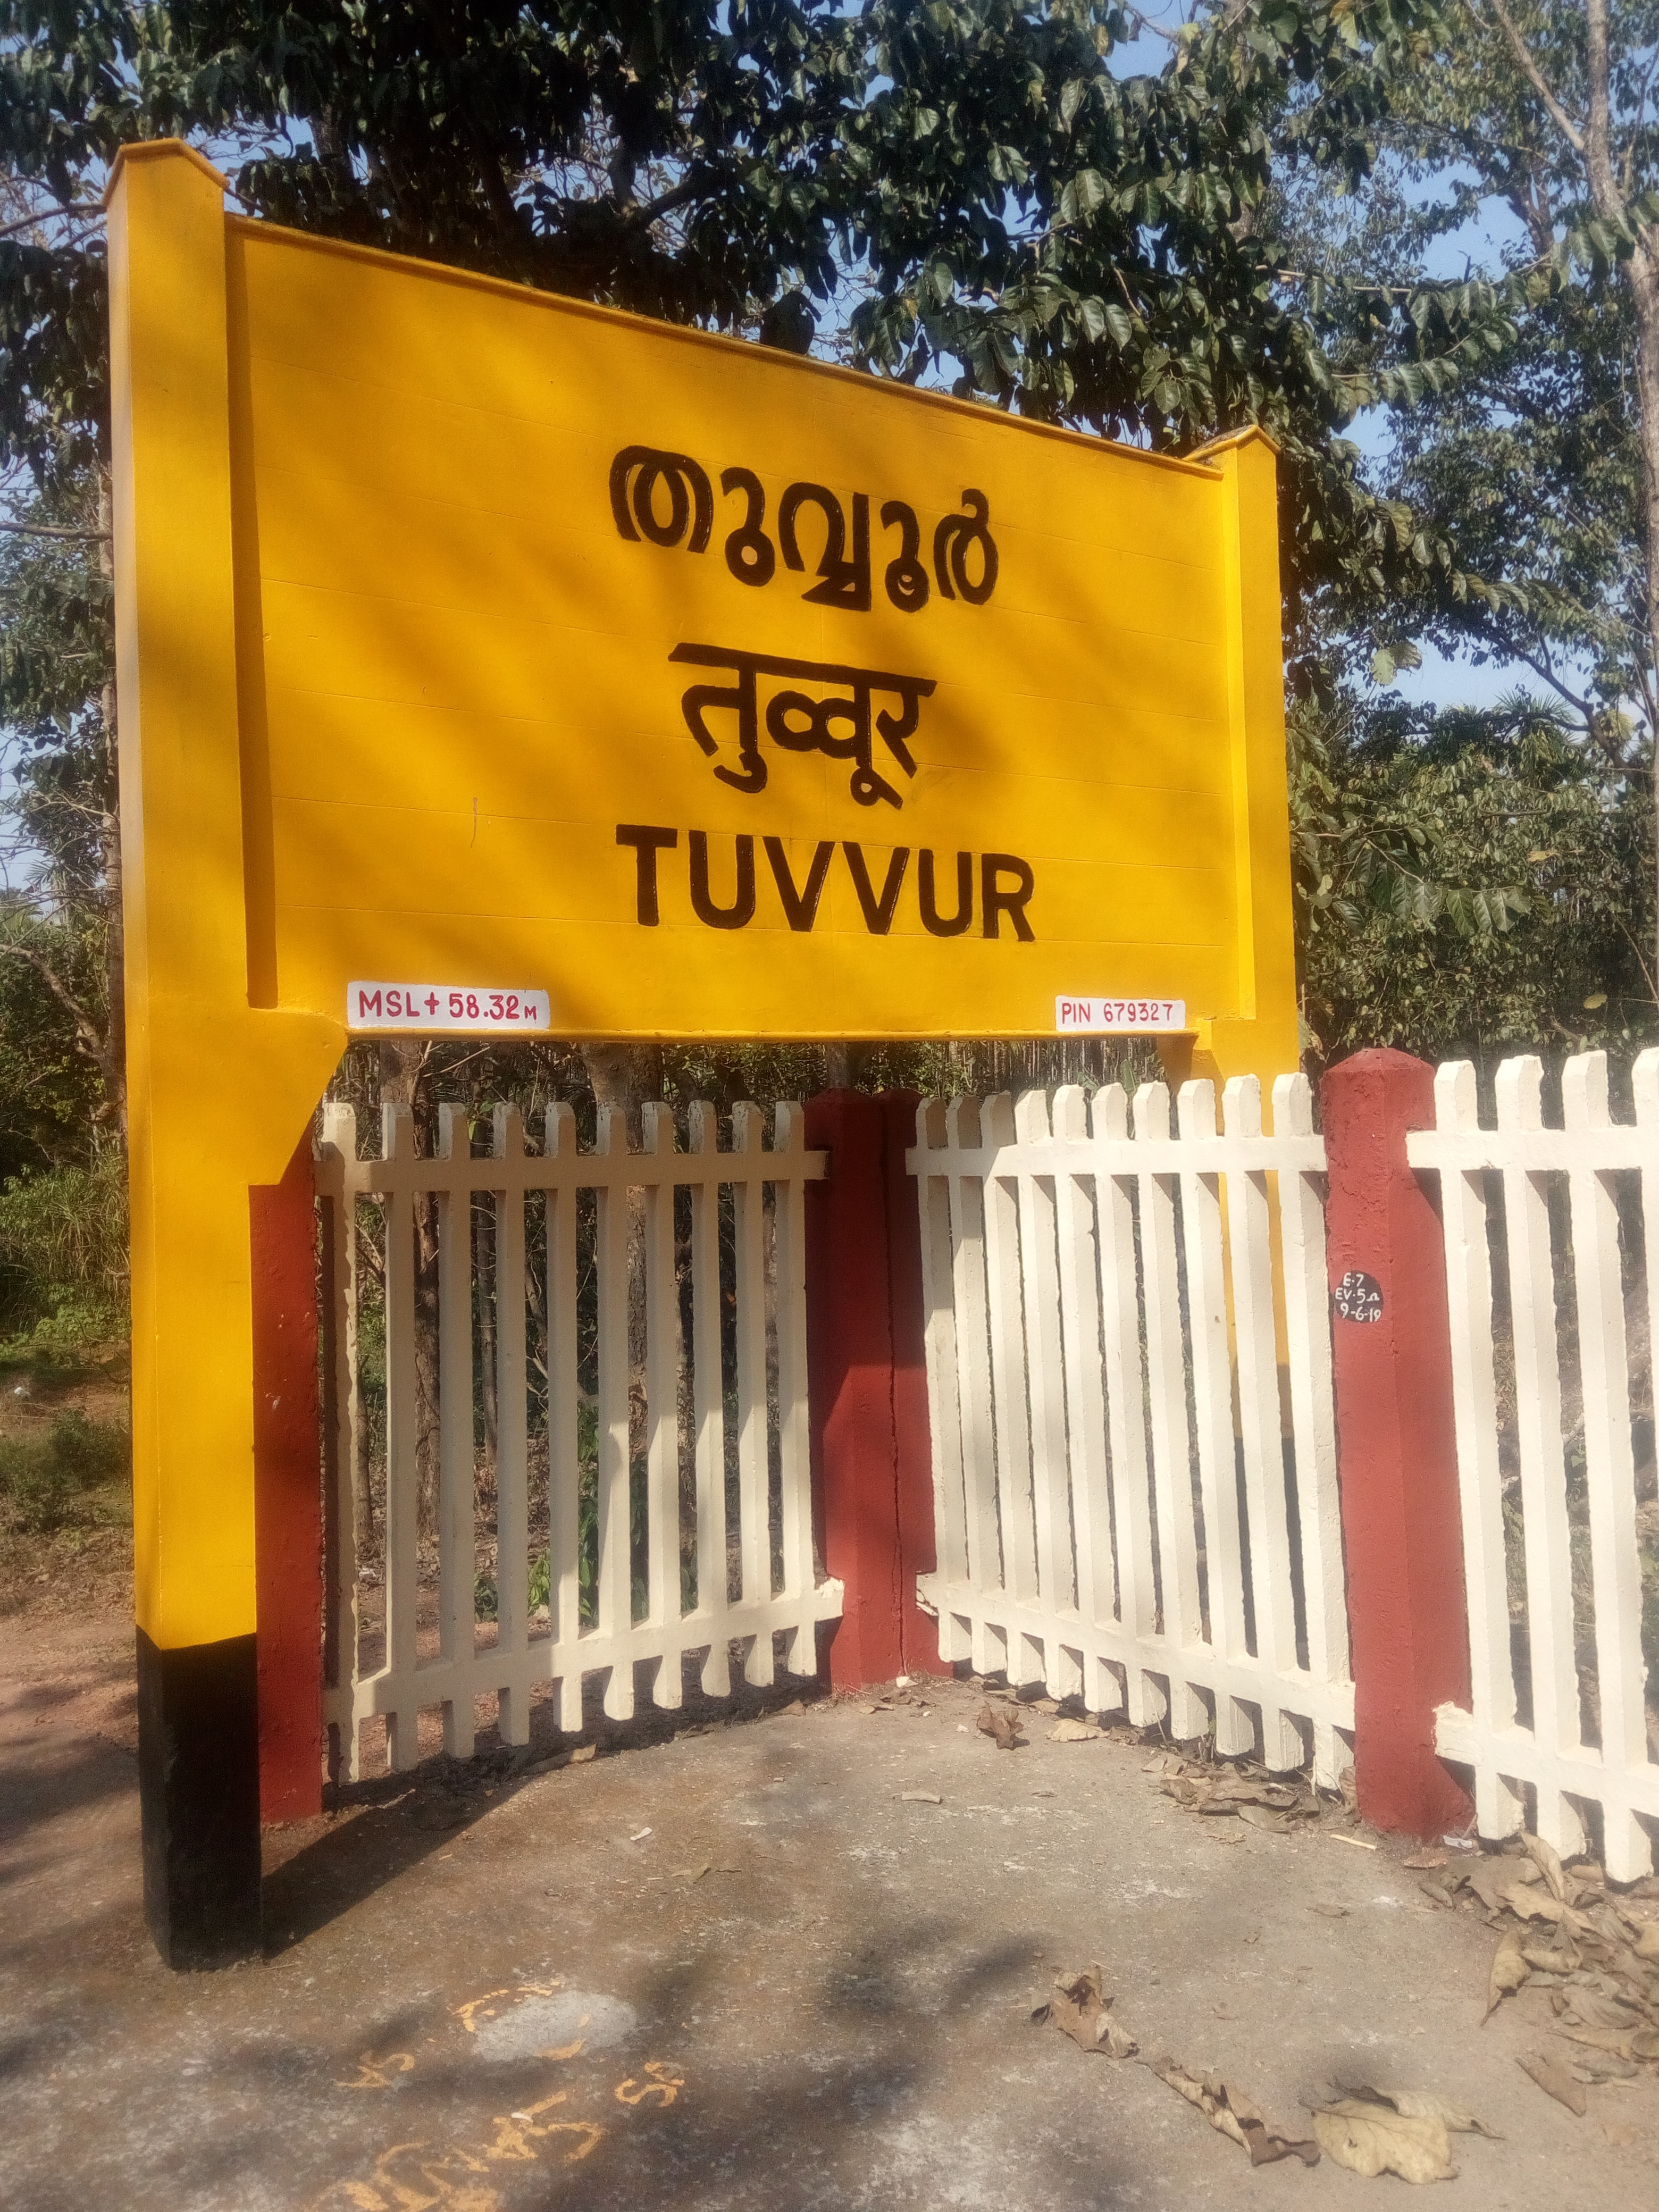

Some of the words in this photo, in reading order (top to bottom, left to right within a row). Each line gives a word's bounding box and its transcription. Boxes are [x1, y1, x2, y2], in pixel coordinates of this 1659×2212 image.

[601, 431, 1005, 615] തുവ്വൂർ
[660, 634, 940, 812] तुव्वूर
[611, 820, 1040, 948] TUVVUR
[352, 984, 544, 1028] MSL+58.32M
[1053, 992, 1097, 1026] PIN
[1097, 999, 1177, 1024] 679327